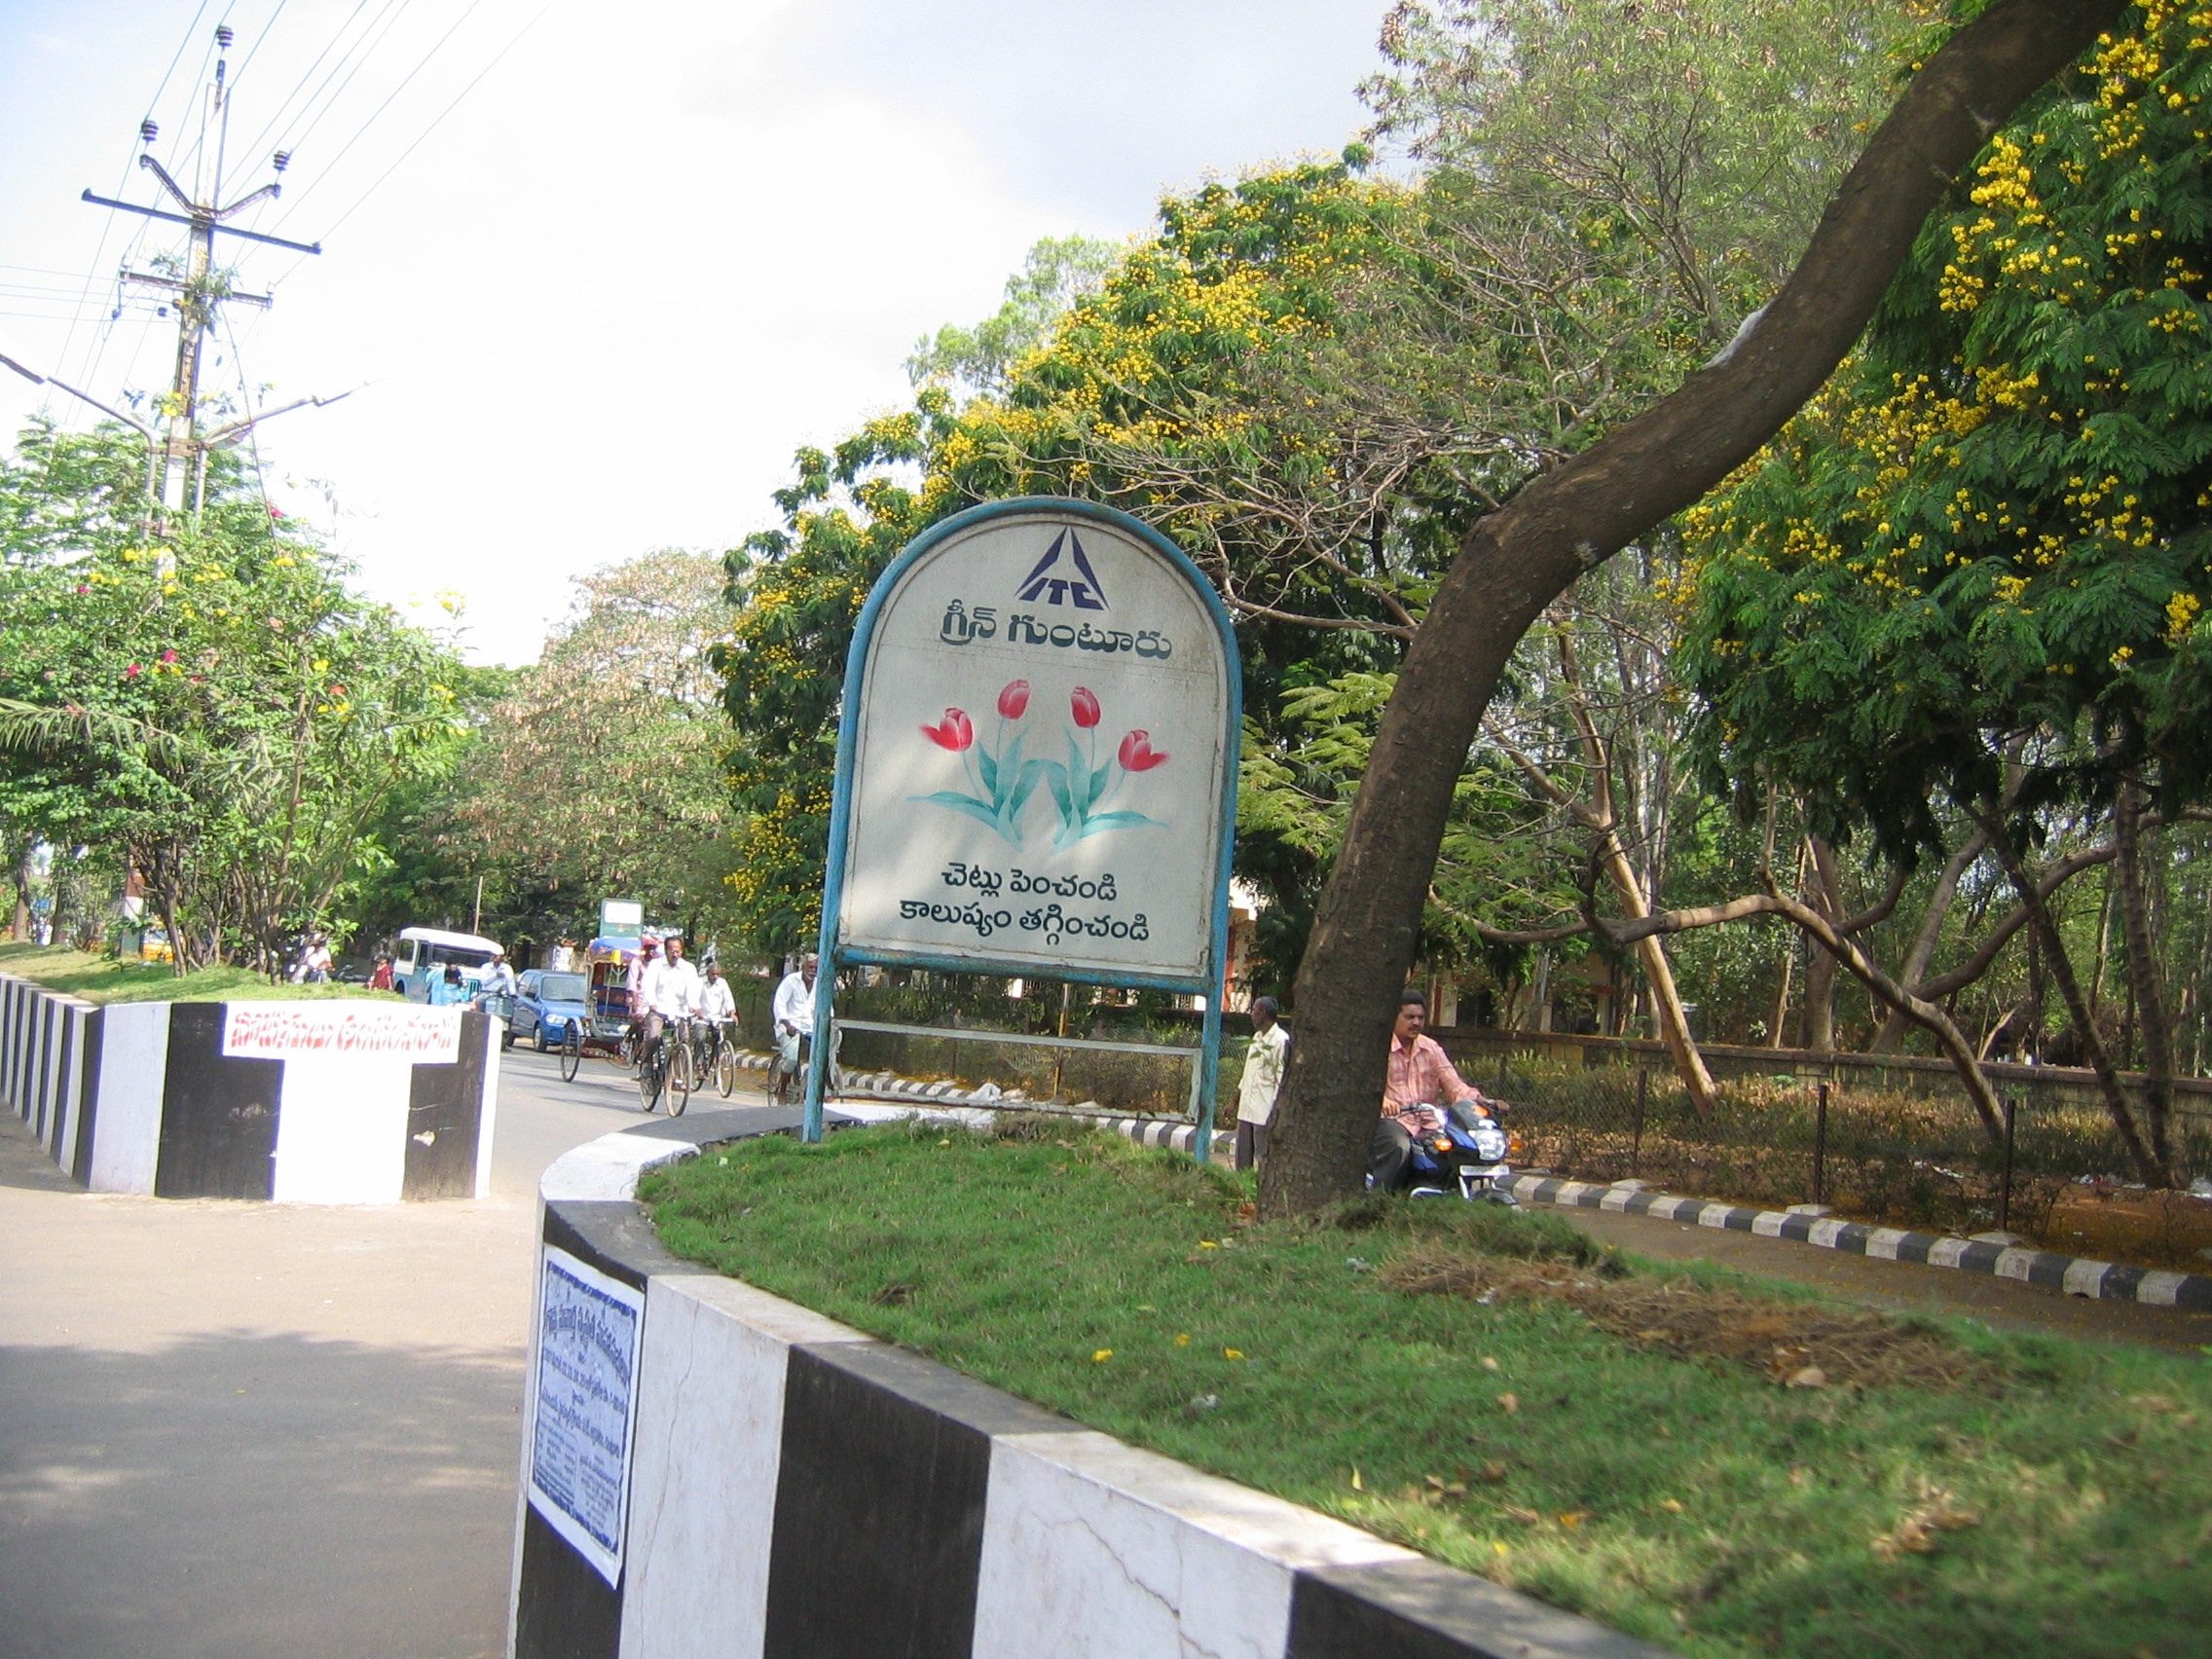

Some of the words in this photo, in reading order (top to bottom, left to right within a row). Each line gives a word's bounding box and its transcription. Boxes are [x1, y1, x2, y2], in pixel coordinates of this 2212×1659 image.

[933, 591, 1004, 653] గ్రీన్
[1004, 607, 1176, 663] గుంటూరు
[935, 852, 1010, 901] చెట్లు
[1006, 862, 1121, 906] పెంచండి
[893, 894, 1018, 941] కాలుష్యం
[1014, 899, 1155, 949] తగ్గించండి